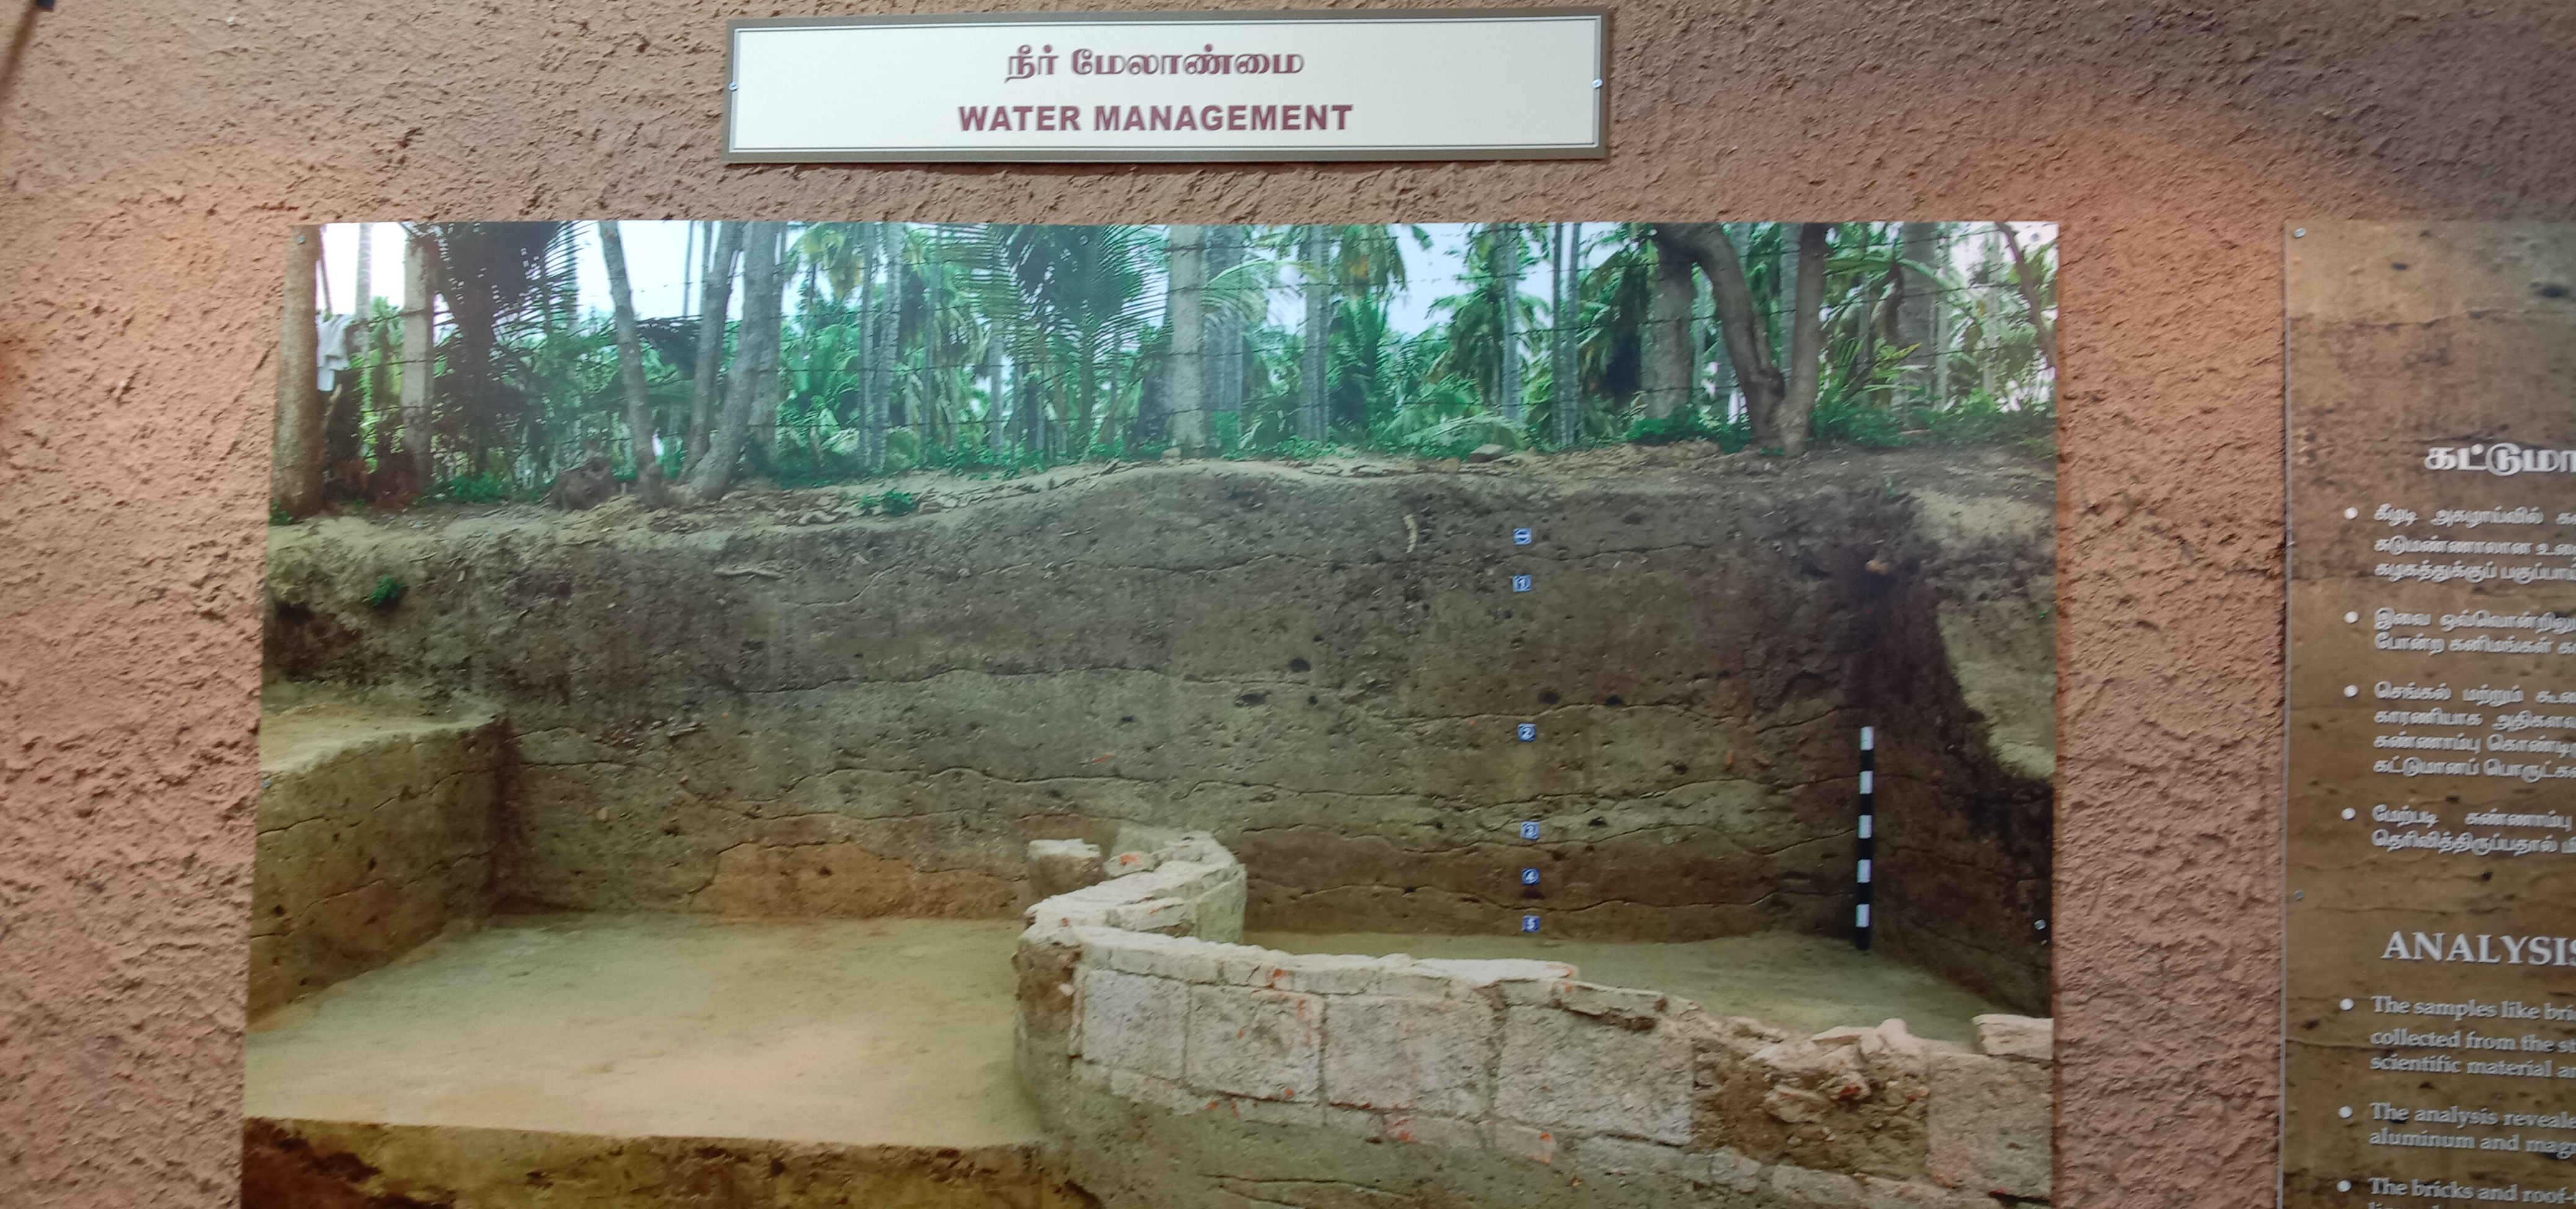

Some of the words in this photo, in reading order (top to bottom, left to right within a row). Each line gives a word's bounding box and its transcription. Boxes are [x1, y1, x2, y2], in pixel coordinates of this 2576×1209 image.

[998, 41, 1063, 87] நீா்
[1064, 42, 1310, 81] மேலாண்மை
[952, 101, 1085, 135] WATER
[1092, 100, 1356, 137] MANAGEMENT